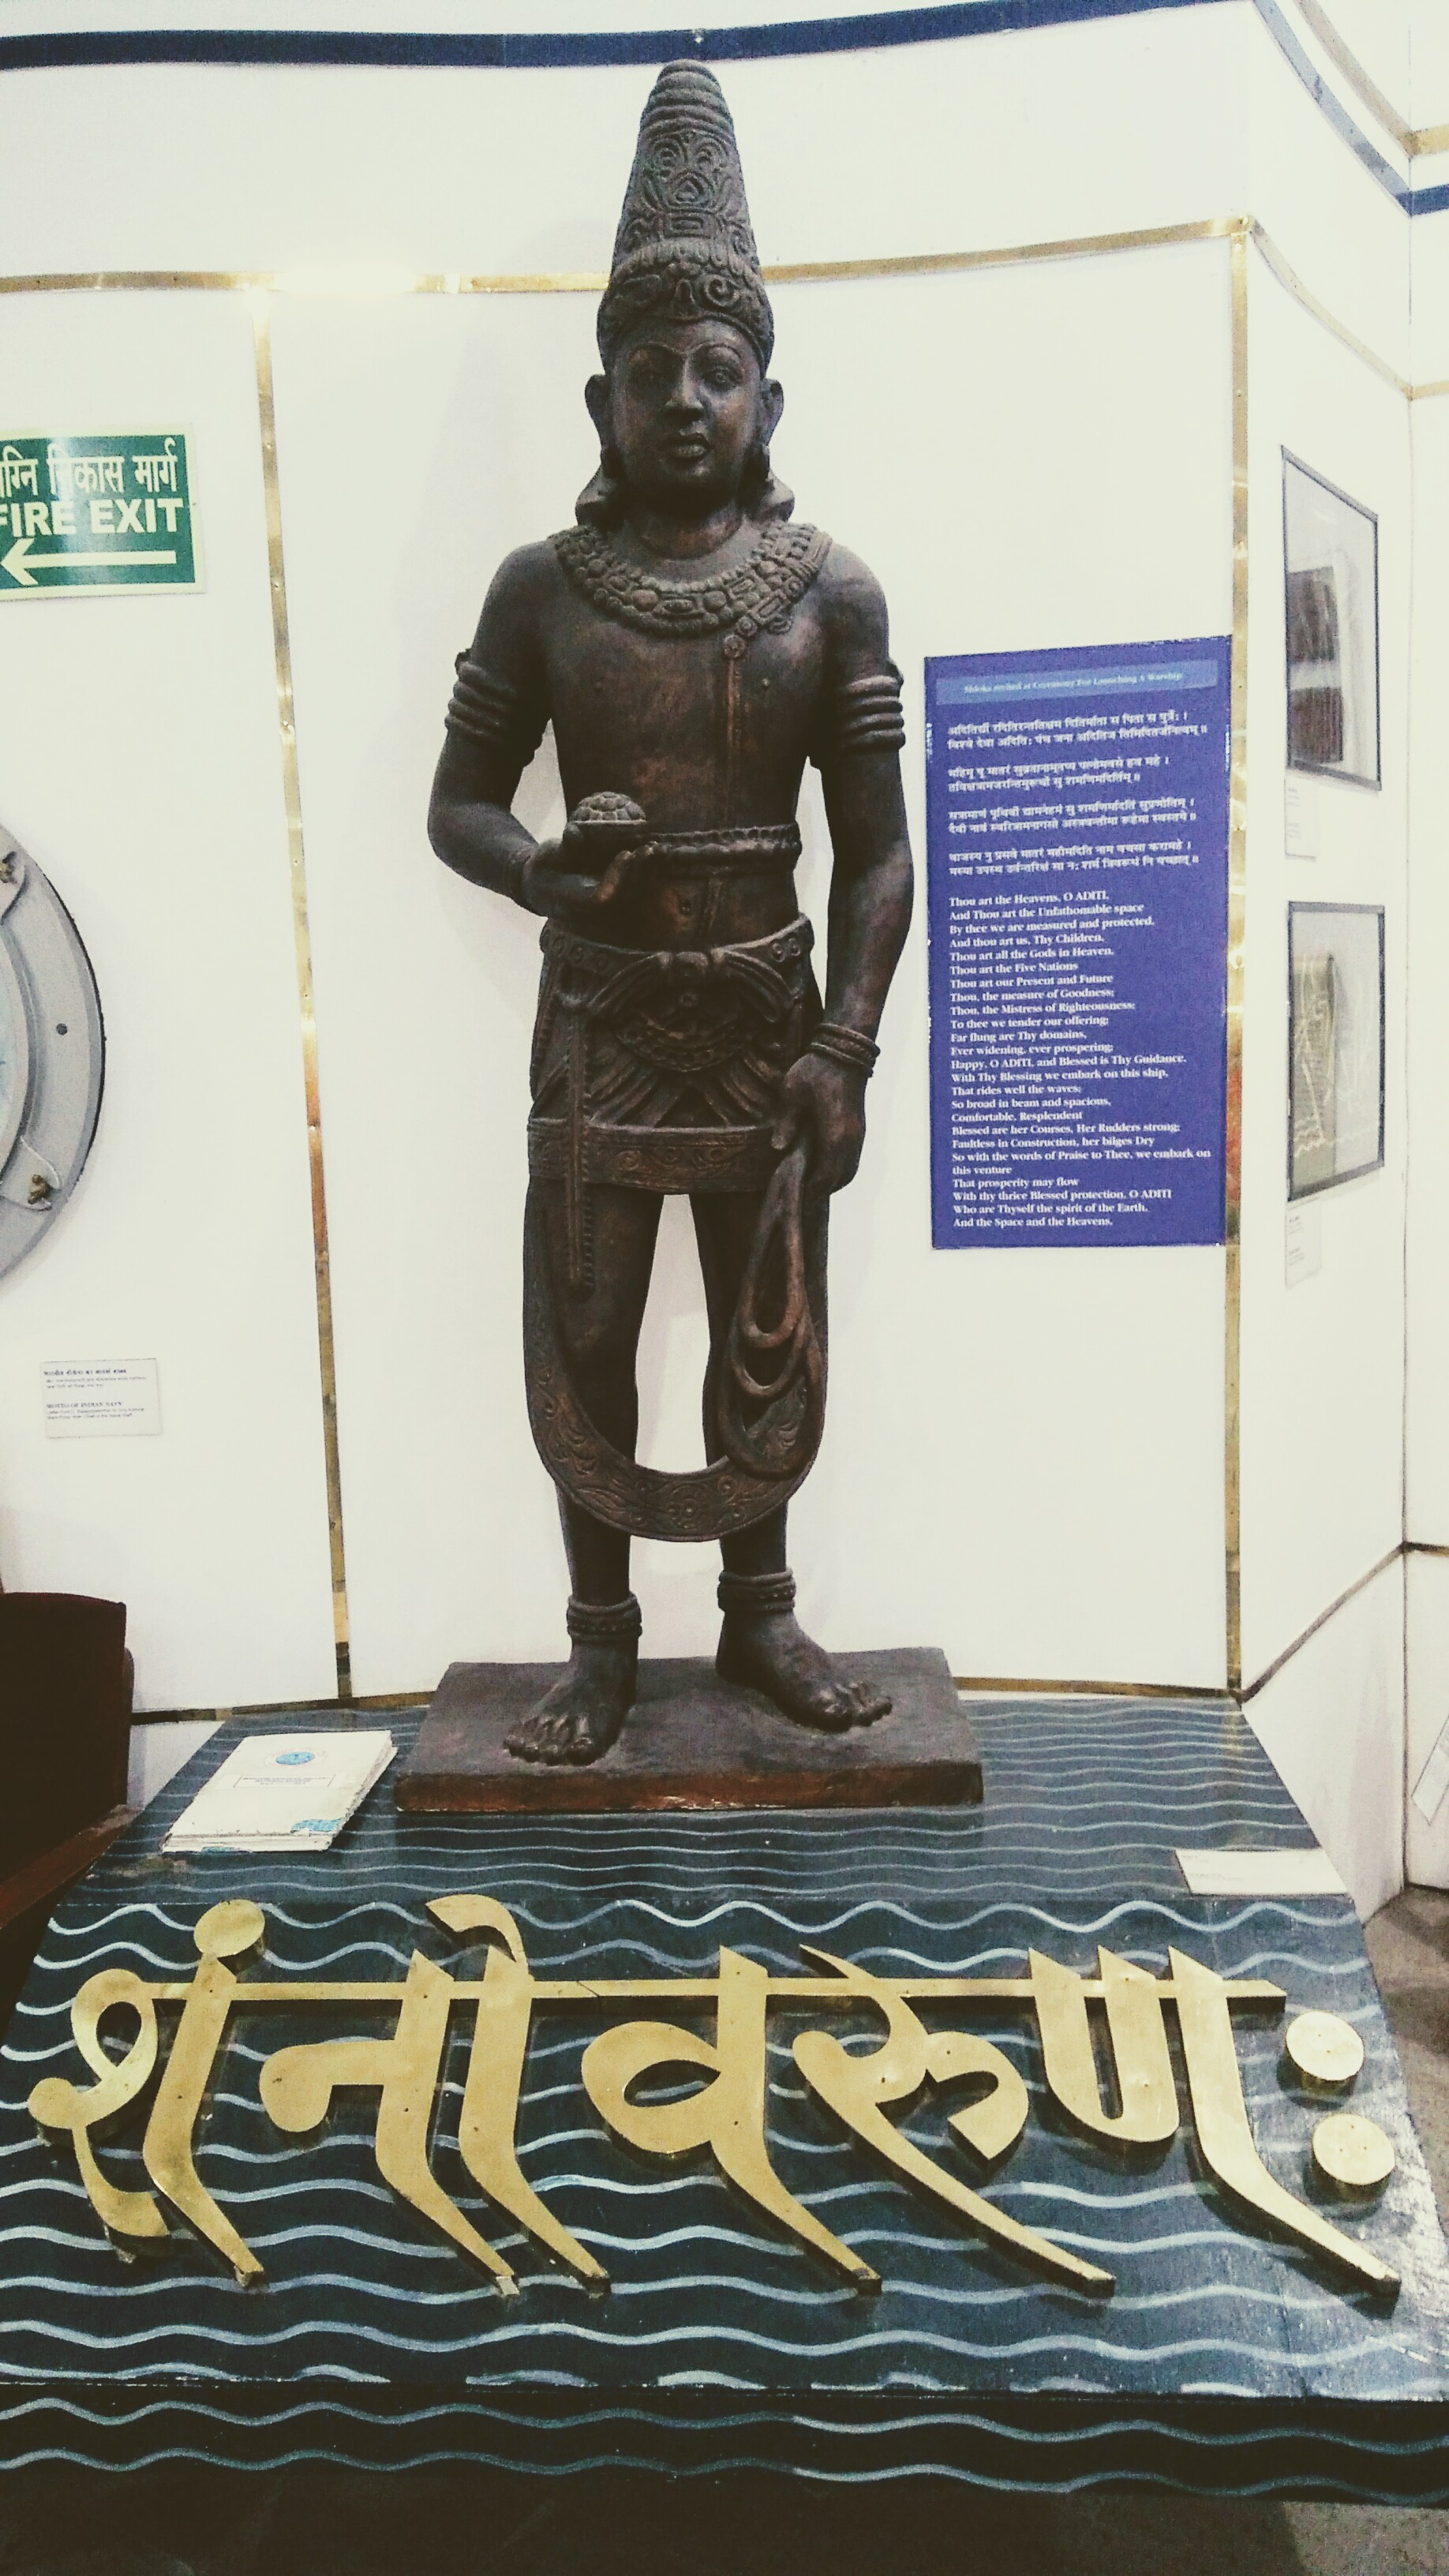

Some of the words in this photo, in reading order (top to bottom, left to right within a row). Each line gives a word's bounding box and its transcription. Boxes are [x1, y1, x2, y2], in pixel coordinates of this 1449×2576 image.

[1, 441, 44, 502] ग्नि
[42, 436, 131, 497] निकास
[130, 433, 179, 494] मार्ग
[2, 498, 79, 541] IRE
[83, 492, 183, 540] EXIT
[945, 736, 975, 754] विश्वे
[945, 718, 994, 739] अदितिर्द्यी
[973, 730, 998, 753] देवा
[996, 731, 1037, 753] अदितिः
[990, 715, 1065, 736] रवितिरन्ततिश्रम
[1061, 710, 1110, 733] दितिर्माता
[1076, 726, 1121, 747] अदितिज
[1117, 710, 1147, 730] पिता
[1144, 711, 1159, 725] स
[1115, 721, 1203, 743] तिमिदितर्जनित्वम्
[1156, 705, 1182, 730] पुत्रैः
[943, 759, 978, 784] महिम
[975, 763, 989, 782] च़्र्
[985, 761, 1015, 777] मातरंं
[1047, 775, 1066, 793] मु
[1063, 768, 1135, 792] रामणिमदिर्तिम्
[1121, 754, 1144, 771] हम
[1140, 750, 1165, 771] महे
[945, 818, 970, 837] देवी
[946, 805, 990, 826] सत्रामाणं
[982, 816, 1061, 836] स्वरित्रामनागसो
[1019, 799, 1068, 821] द्यामनेहमं
[1060, 800, 1076, 819] मु
[1058, 814, 1121, 830] अस्त्रवन्तीमा
[1075, 796, 1140, 817] शर्माणर्मादतिं
[1136, 788, 1192, 817] सुप्रणोतिभू
[1146, 805, 1191, 827] स्वस्तये
[944, 863, 975, 881] गस्या
[971, 863, 1006, 878] उपस्थ
[980, 848, 998, 865] मु
[994, 844, 1020, 863] प्रसवे
[1003, 858, 1052, 875] अन्तरिक्ष
[1047, 861, 1069, 873] मा
[1045, 841, 1096, 861] महीमदिति
[1077, 854, 1103, 875] शर्म
[1091, 841, 1115, 861] नाम
[1112, 841, 1148, 858] बचसा
[1144, 834, 1187, 856] करामहे
[1152, 852, 1194, 871] पच्छात्‌।
[948, 886, 1114, 910] Thou art the Heavens O ADITI
[945, 900, 1148, 924] And thou art the Unfathomable space
[945, 913, 1159, 937] By thee we are measured and protected.
[946, 932, 1108, 952] And thou art us,Thy Children,
[946, 945, 1118, 964] Thow art all the Gods in Heaven
[949, 958, 1082, 979] ThouarttheFiveNations
[947, 972, 1119, 990] Thou art our Present and Future
[945, 984, 1119, 1005] ThouthemessureofGoodness
[949, 998, 1139, 1020] Thou, the Mistress of Righteousness;
[947, 1011, 1114, 1032] To thee we tender our offering
[949, 1027, 1091, 1043] Far flung are Thy domains,
[945, 1039, 1118, 1059] Overwidening.everprosperi
[946, 1050, 1191, 1073] Happy. O ADITI, and Blessed is Thy Guidance.
[949, 1063, 1174, 1087] With Thy Blessing we embark on this ship.
[949, 1082, 1088, 1098] That rides well the waves,
[946, 1096, 1115, 1112] Sobroadinbeamandspacions,
[947, 1111, 1018, 1125] Comfortable,
[1017, 1109, 1088, 1123] Resplendent
[948, 1123, 992, 1138] Blessed
[948, 1136, 1000, 1151] Faultless
[987, 1125, 1011, 1140] are
[993, 1136, 1012, 1152] in
[1006, 1125, 1030, 1142] her
[1005, 1136, 1080, 1151] Construction,
[1028, 1121, 1073, 1139] Courses,
[1074, 1121, 1097, 1137] Her
[1079, 1136, 1104, 1151] her
[1096, 1133, 1136, 1151] bilges
[1096, 1121, 1142, 1136] Rudders
[1131, 1132, 1158, 1150] Dry
[1136, 1120, 1183, 1138] strong:
[950, 1145, 1215, 1165] So with the words of Praise to Thee, we embark on
[949, 1163, 974, 1179] this
[968, 1163, 1016, 1178] venture
[949, 1176, 979, 1191] That
[975, 1176, 1033, 1194] prosperity
[1028, 1176, 1057, 1193] may
[1051, 1175, 1084, 1189] flow
[949, 1189, 980, 1205] With
[975, 1189, 998, 1205] thy
[993, 1188, 1031, 1204] thrice
[1024, 1189, 1071, 1204] Blessed
[1066, 1188, 1125, 1204] protection.
[1123, 1186, 1143, 1204] O
[1139, 1186, 1175, 1205] ADITI
[952, 1203, 981, 1217] Who
[975, 1204, 998, 1218] are
[994, 1200, 1038, 1219] Thyself
[1032, 1198, 1056, 1218] the
[1049, 1200, 1087, 1219] spirte
[1080, 1200, 1099, 1218] of
[1092, 1200, 1119, 1217] the
[1114, 1199, 1150, 1218] Earth.
[948, 1216, 978, 1232] And
[972, 1215, 994, 1230] the
[990, 1215, 1027, 1231] Space
[1024, 1215, 1050, 1230] and
[1044, 1215, 1069, 1229] the
[1066, 1215, 1115, 1231] Heavens.
[16, 1885, 1404, 2305] शंनोवरुणः